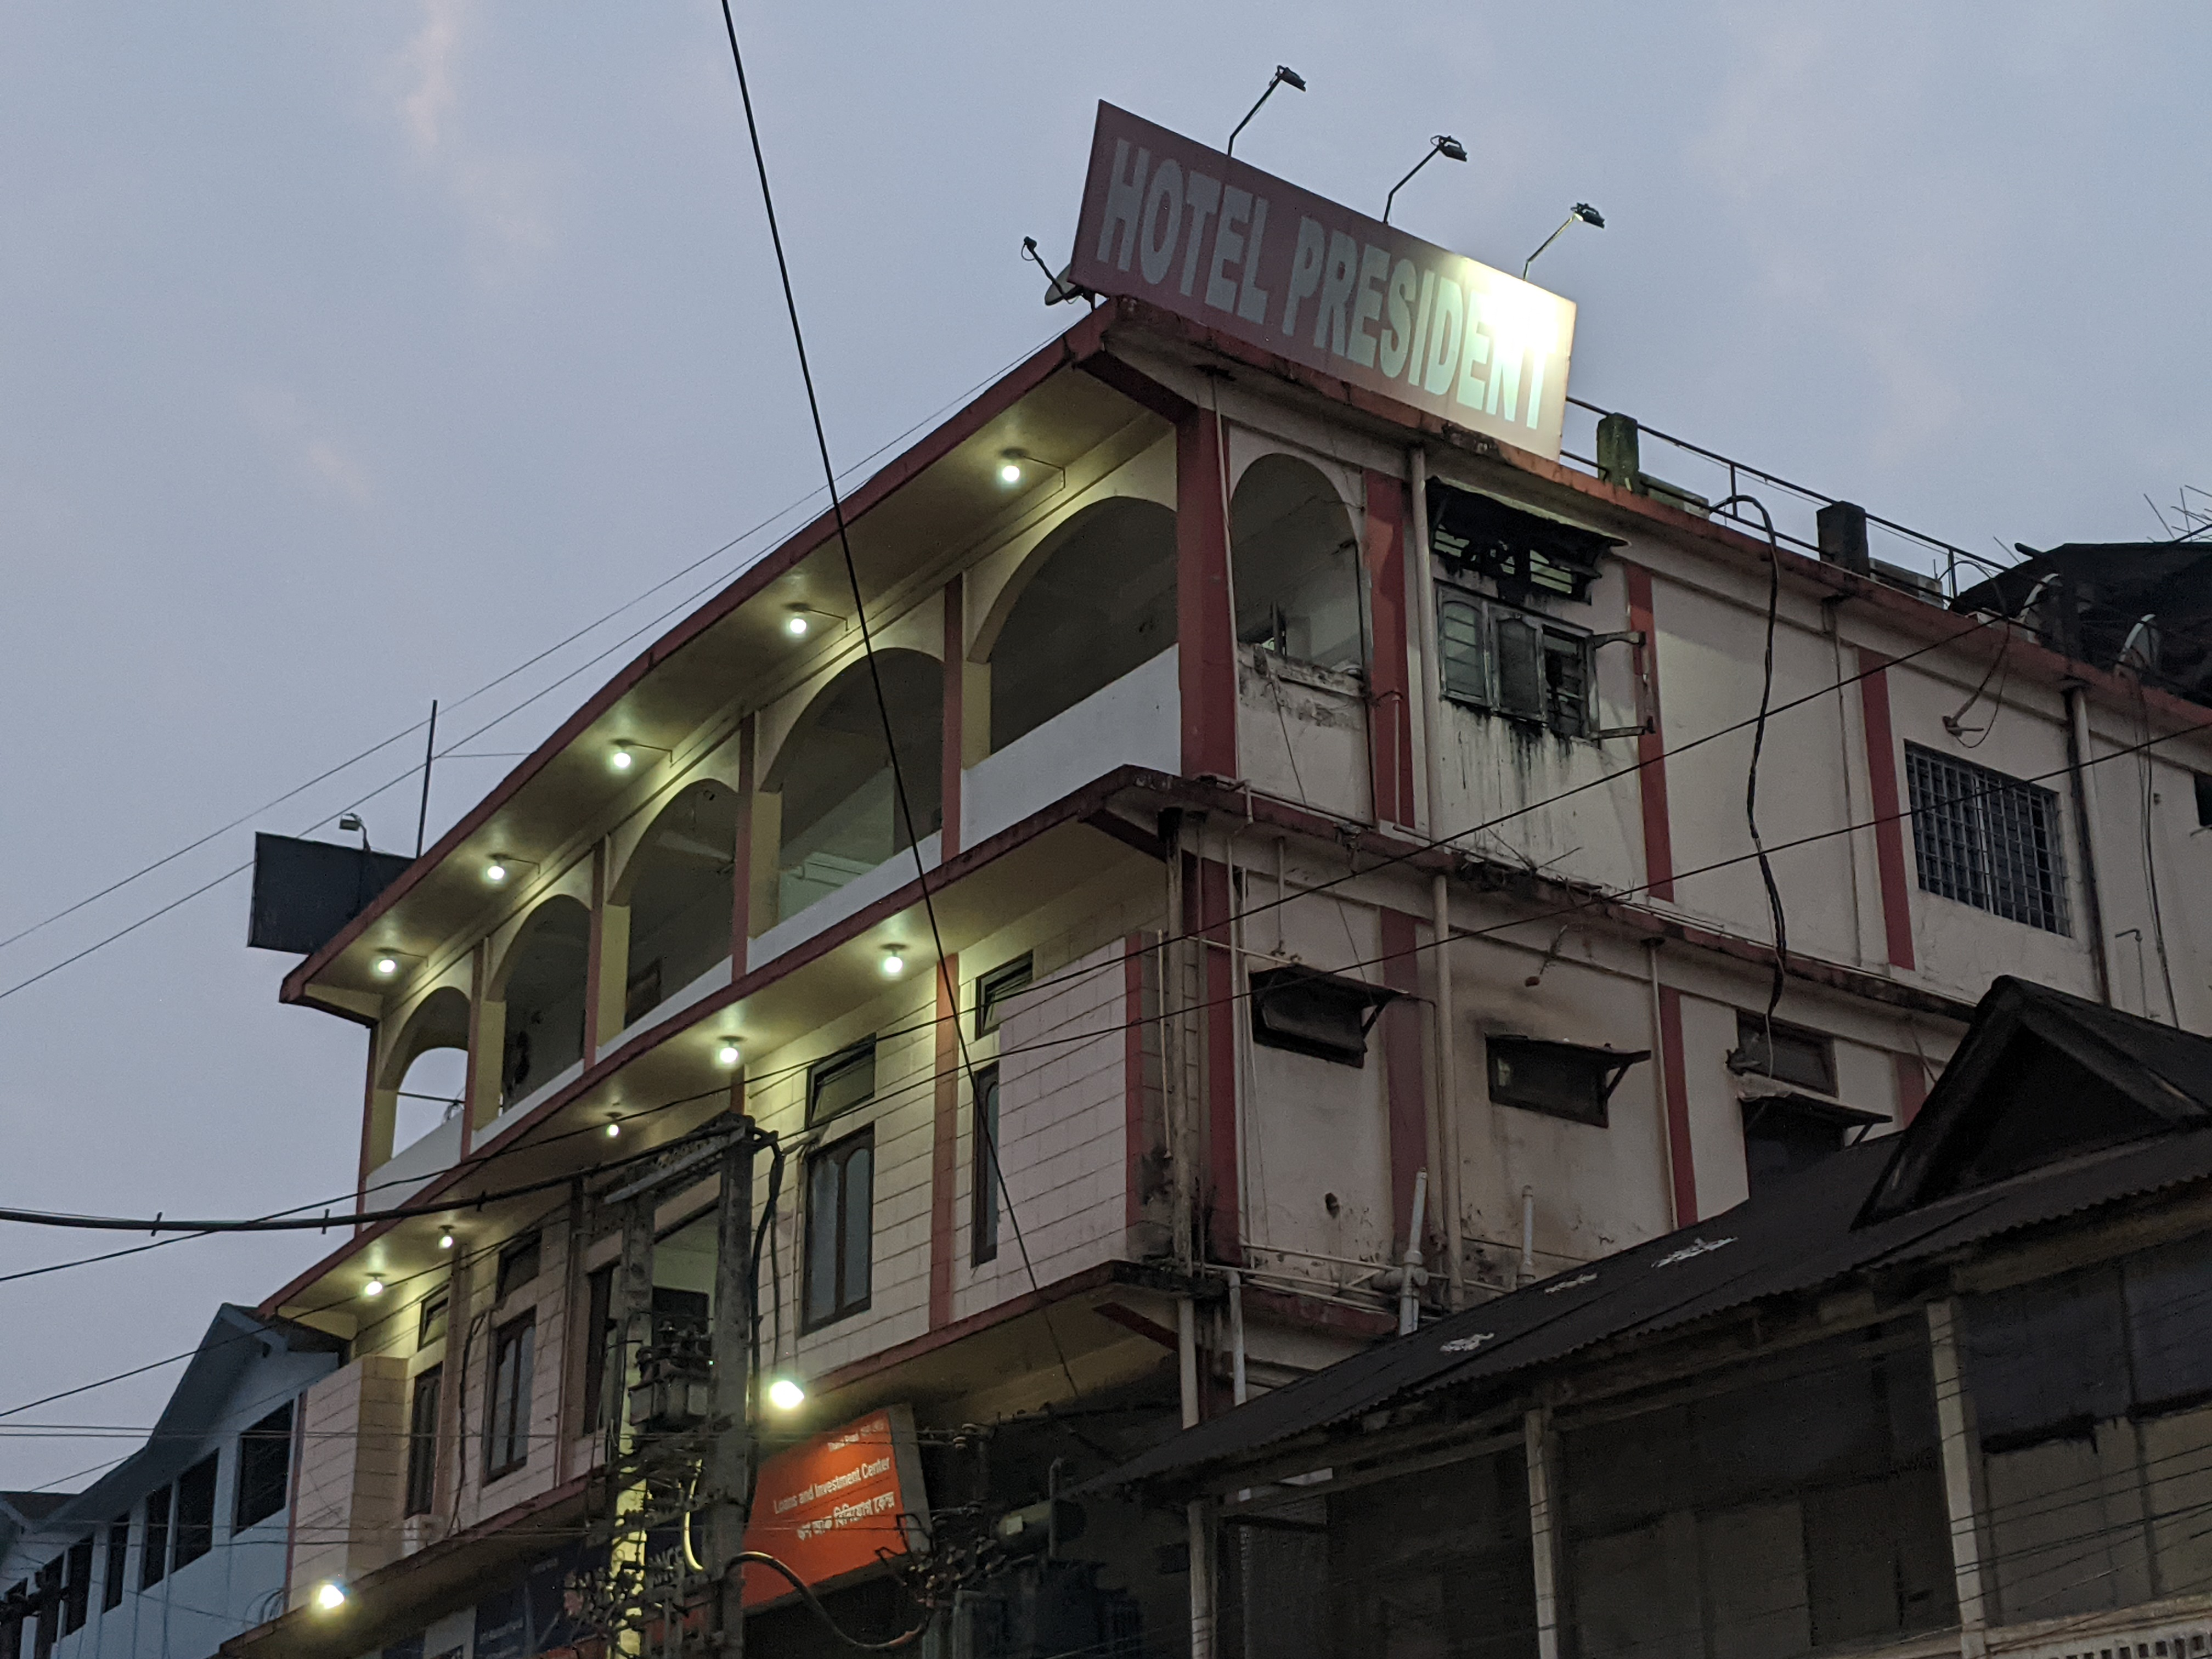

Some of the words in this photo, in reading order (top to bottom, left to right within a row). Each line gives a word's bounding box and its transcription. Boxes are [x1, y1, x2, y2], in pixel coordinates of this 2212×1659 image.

[1087, 129, 1279, 335] HOTEL
[1269, 206, 1567, 439] PRESIDENT
[771, 1492, 799, 1517] Loans
[795, 1483, 817, 1507] and
[812, 1463, 866, 1500] Investment
[829, 1497, 876, 1531] বিনিয়োগ
[857, 1451, 897, 1483] Center
[867, 1489, 898, 1516] কেন্দ্ৰ